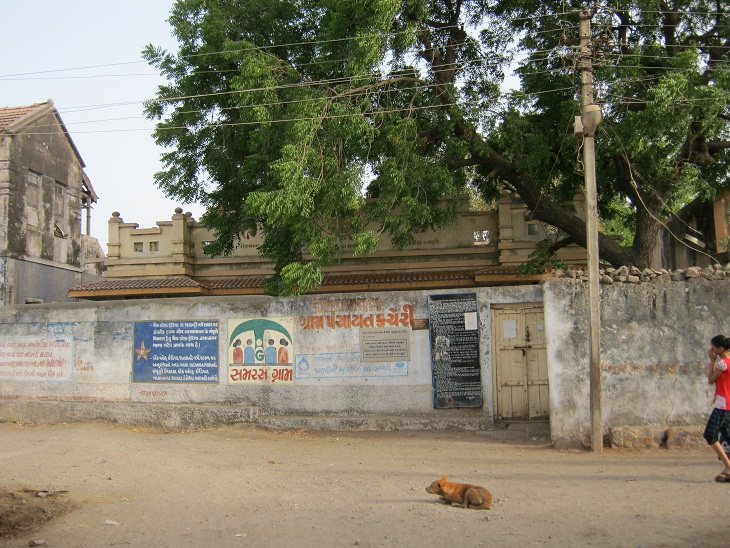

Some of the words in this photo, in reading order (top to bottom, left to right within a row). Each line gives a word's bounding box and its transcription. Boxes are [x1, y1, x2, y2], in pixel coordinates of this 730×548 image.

[301, 308, 410, 329] ગ્રામ પંચાયત કચેરી
[229, 365, 267, 382] સમરસ
[269, 366, 292, 382] ગ્રામ